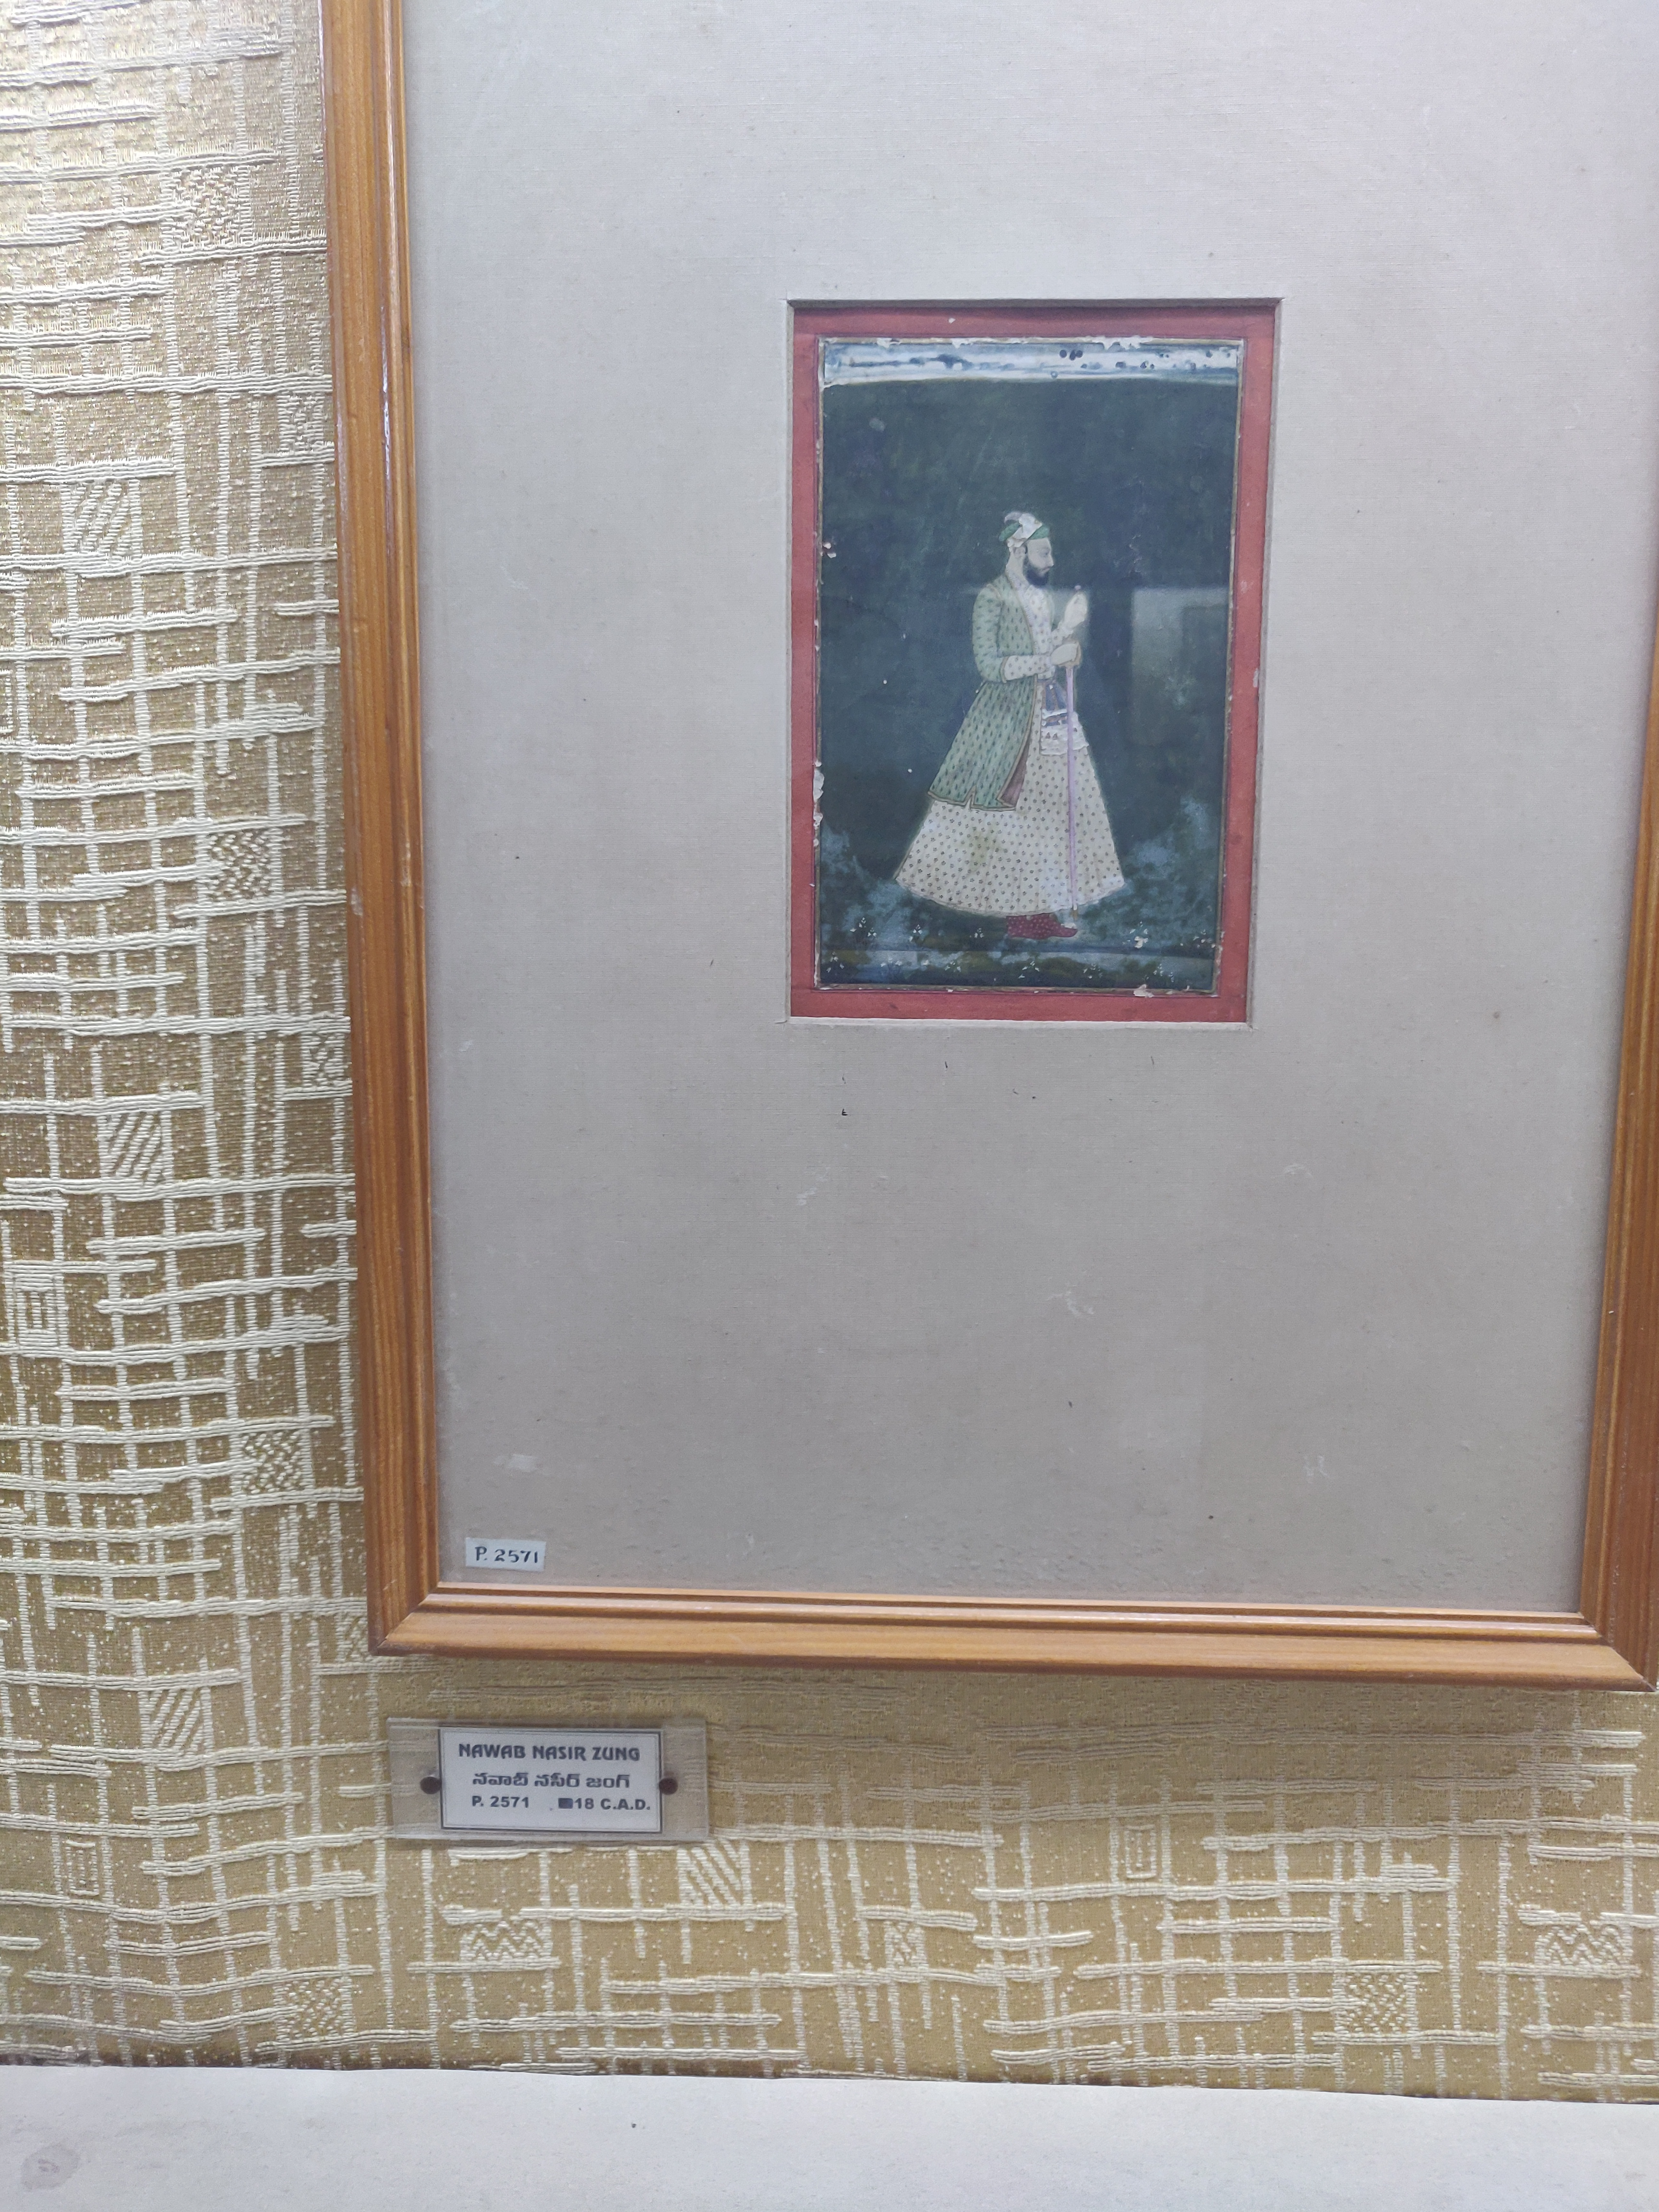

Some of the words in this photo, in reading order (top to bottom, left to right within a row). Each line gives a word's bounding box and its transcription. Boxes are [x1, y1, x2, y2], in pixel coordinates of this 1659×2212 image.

[456, 1738, 529, 1760] NAWAB
[529, 1743, 589, 1762] NASIR
[590, 1740, 643, 1763] ZUNG
[470, 1767, 531, 1790] నవాబ్
[530, 1769, 582, 1791] నసీర్
[583, 1773, 632, 1791] జంగ్
[468, 1792, 532, 1810] P.2571
[572, 1792, 650, 1815] 18C.A.D.